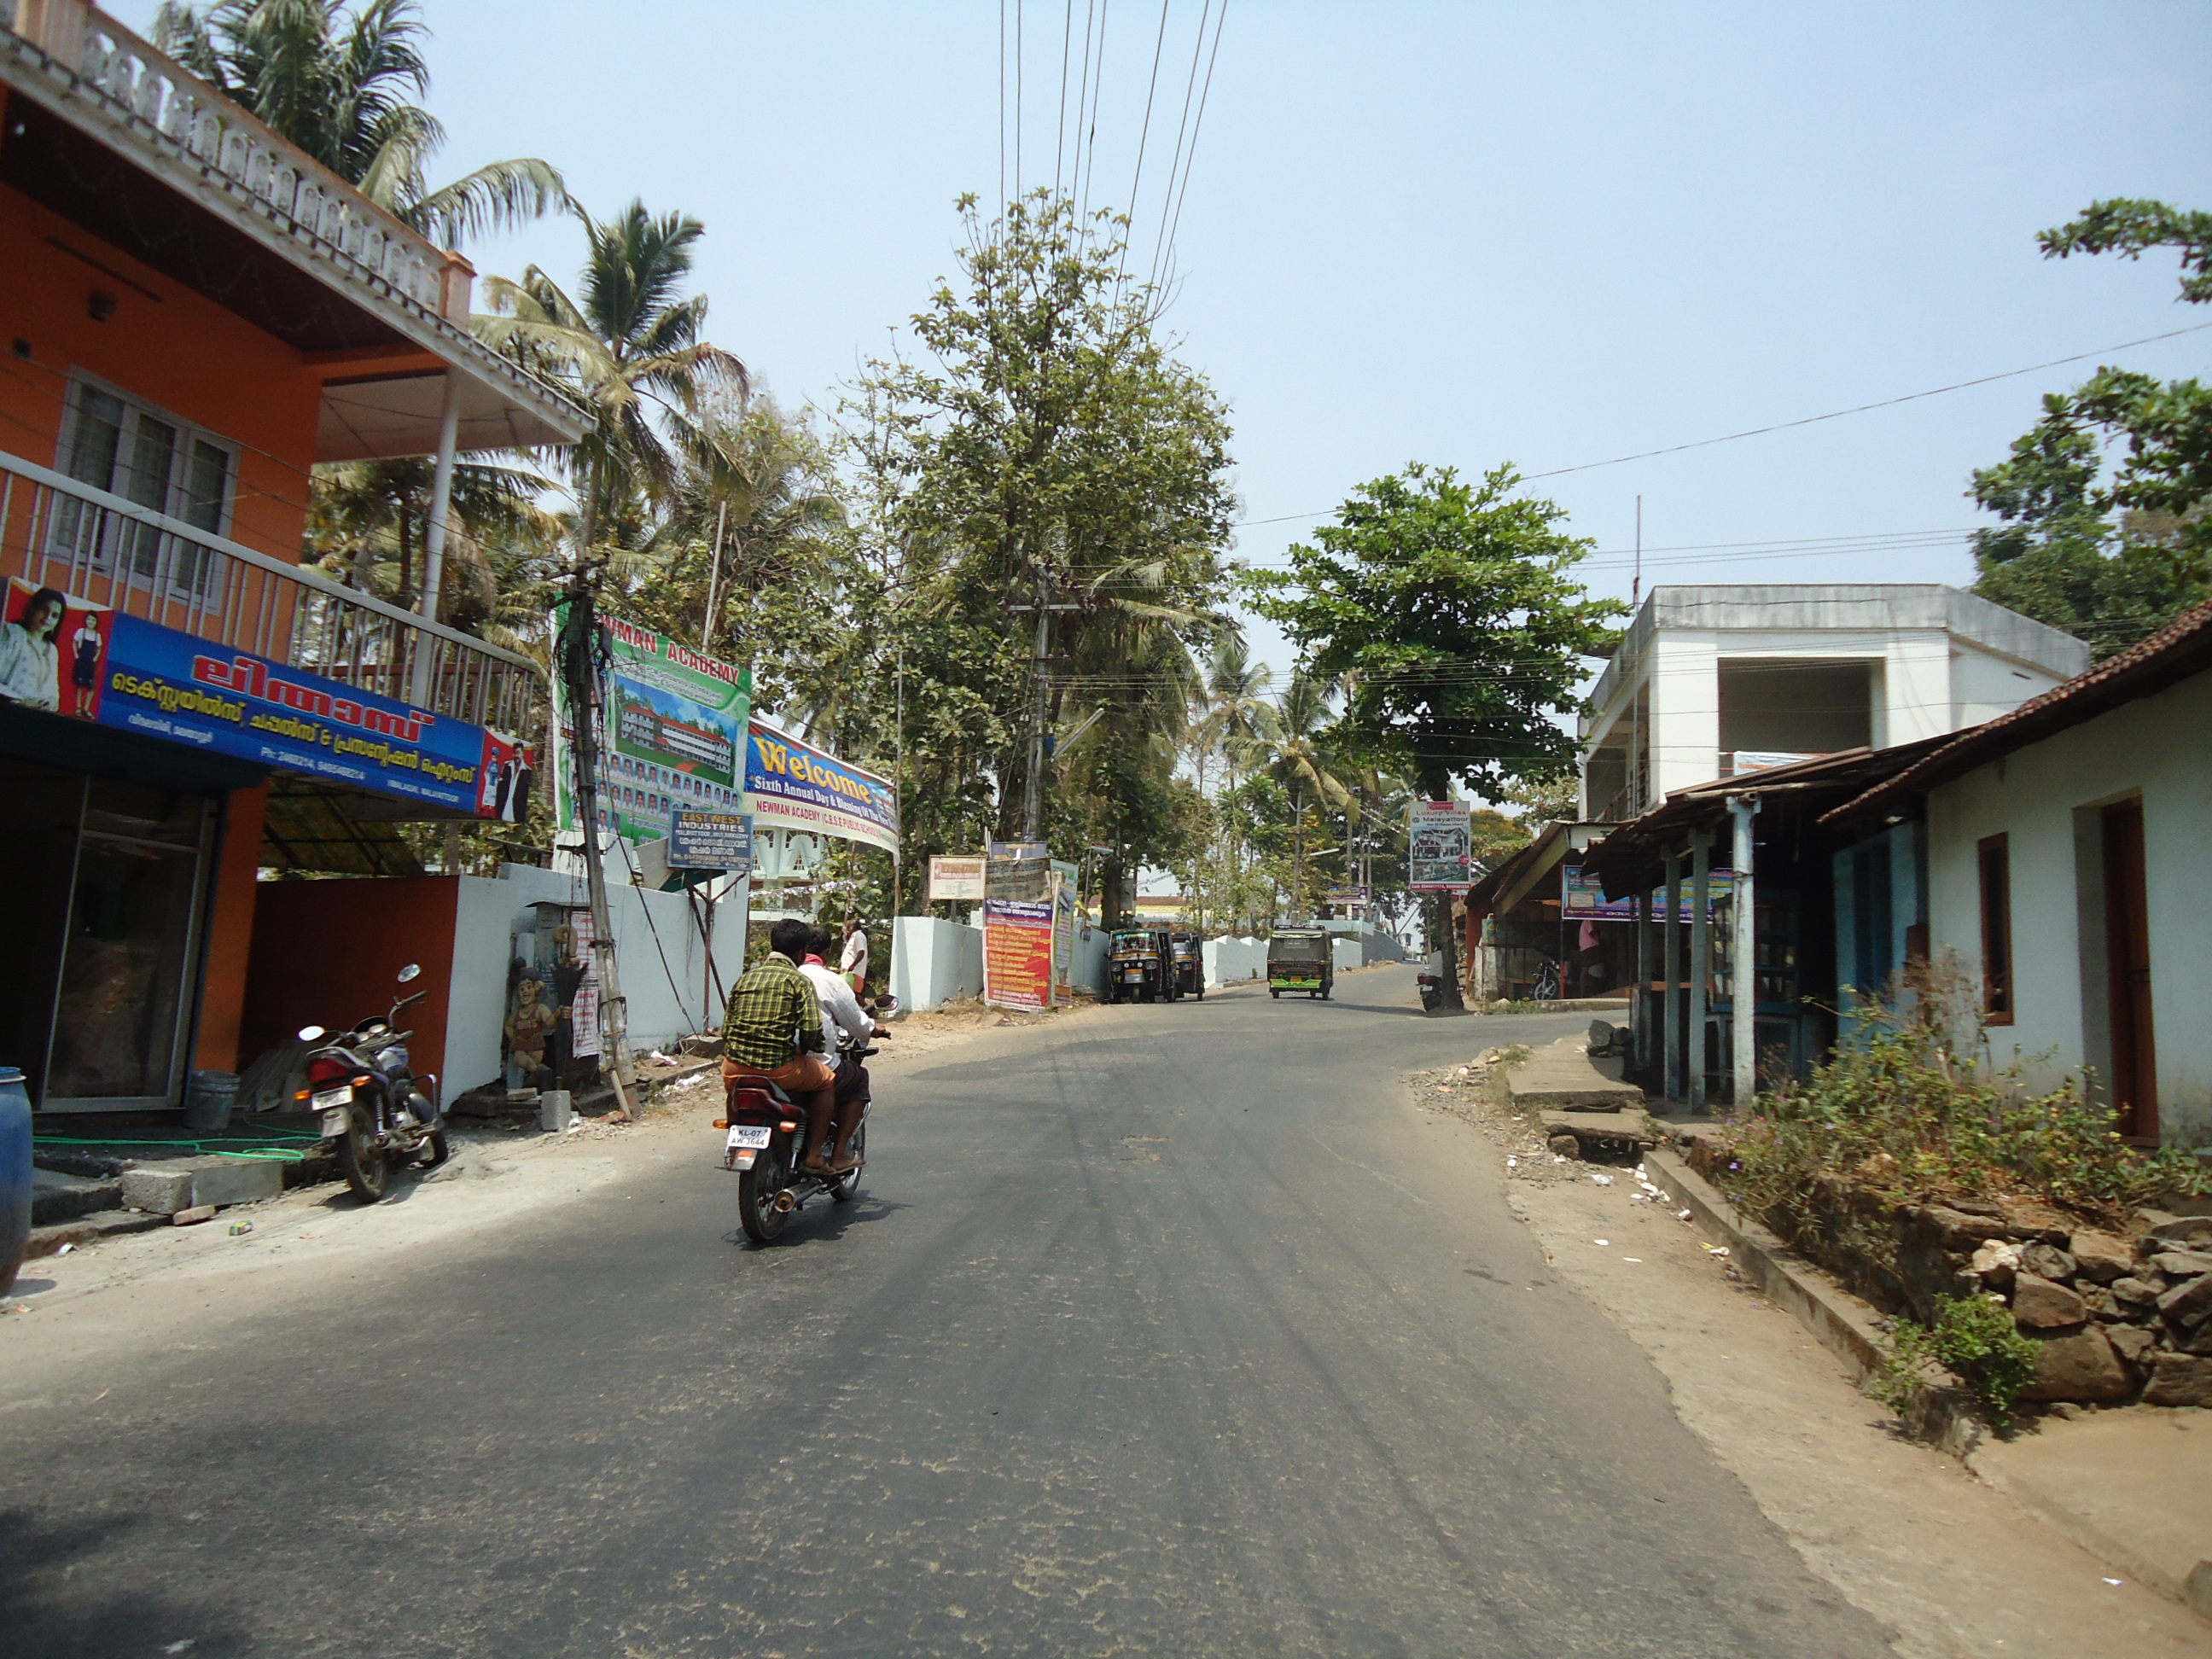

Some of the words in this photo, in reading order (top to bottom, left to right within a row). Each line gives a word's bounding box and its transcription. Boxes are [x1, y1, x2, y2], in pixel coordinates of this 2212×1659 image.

[665, 636, 742, 691] ACADEMY
[107, 668, 250, 730] ടെക്‌സ്റ്റയിൽസ്
[187, 647, 441, 745] ലിതാസ്
[247, 711, 325, 748] ചപ്പൽസ്
[317, 726, 334, 748] &
[257, 742, 317, 774] Ph:2488214,
[315, 757, 367, 786] 9495468214
[329, 728, 422, 774] പ്രസൻറേഷൻ
[418, 755, 479, 789] ഐറ്റംസ്
[755, 733, 875, 807] Welcome
[678, 806, 711, 827] EAST
[674, 818, 749, 835] INDUSTRIES
[707, 812, 743, 827] WEST
[753, 772, 786, 798] Sixth
[754, 796, 795, 819] NEWMAN
[777, 779, 818, 803] Annual
[789, 803, 822, 823] ACADEMY
[813, 788, 835, 809] Day&
[825, 793, 841, 811] &
[818, 810, 863, 838] (C.B.S.E.PUBLIC
[834, 793, 867, 820] BlessingO
[858, 801, 876, 820] OfT
[1413, 806, 1445, 818] Luxury
[1417, 813, 1472, 825] Malayattoor
[1443, 806, 1470, 817] Villas
[707, 845, 737, 858] ദണത്